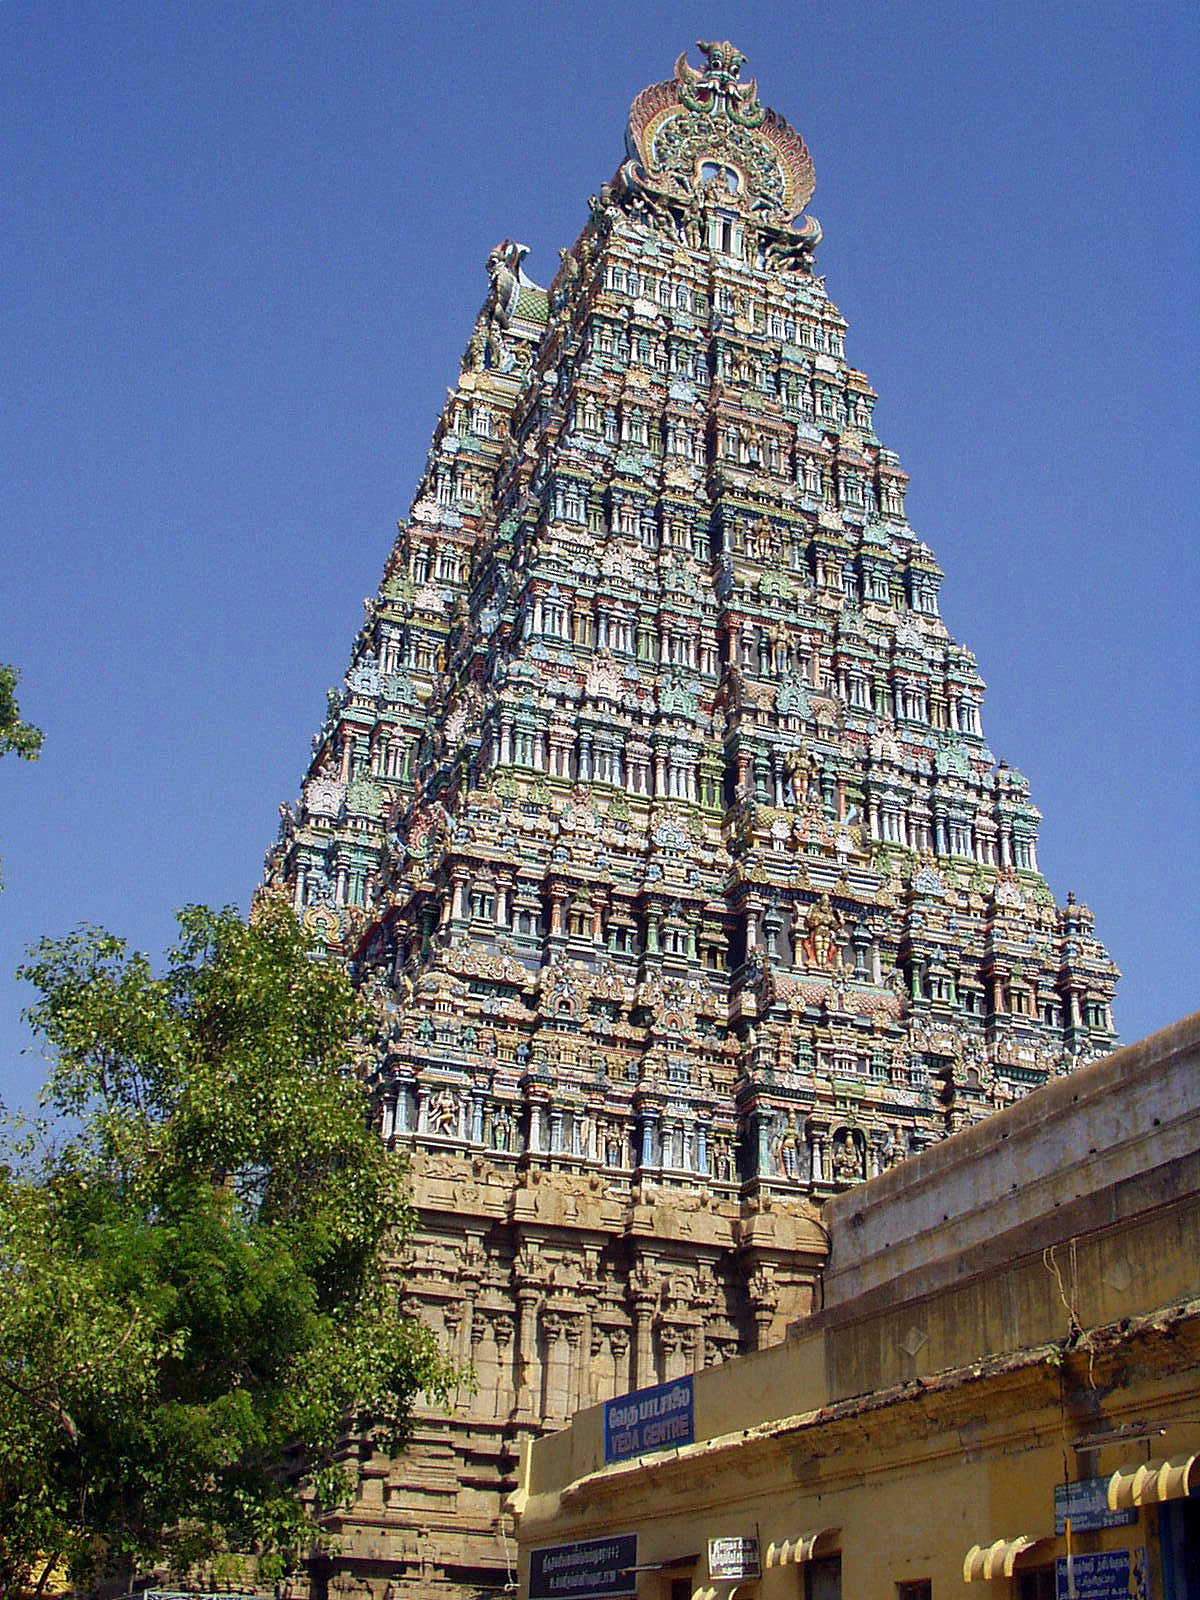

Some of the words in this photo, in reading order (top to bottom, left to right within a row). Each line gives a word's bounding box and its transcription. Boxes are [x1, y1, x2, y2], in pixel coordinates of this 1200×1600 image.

[605, 1426, 644, 1461] VEDA
[603, 1382, 695, 1434] வேதபாடாாசில
[640, 1408, 694, 1447] CENTRE